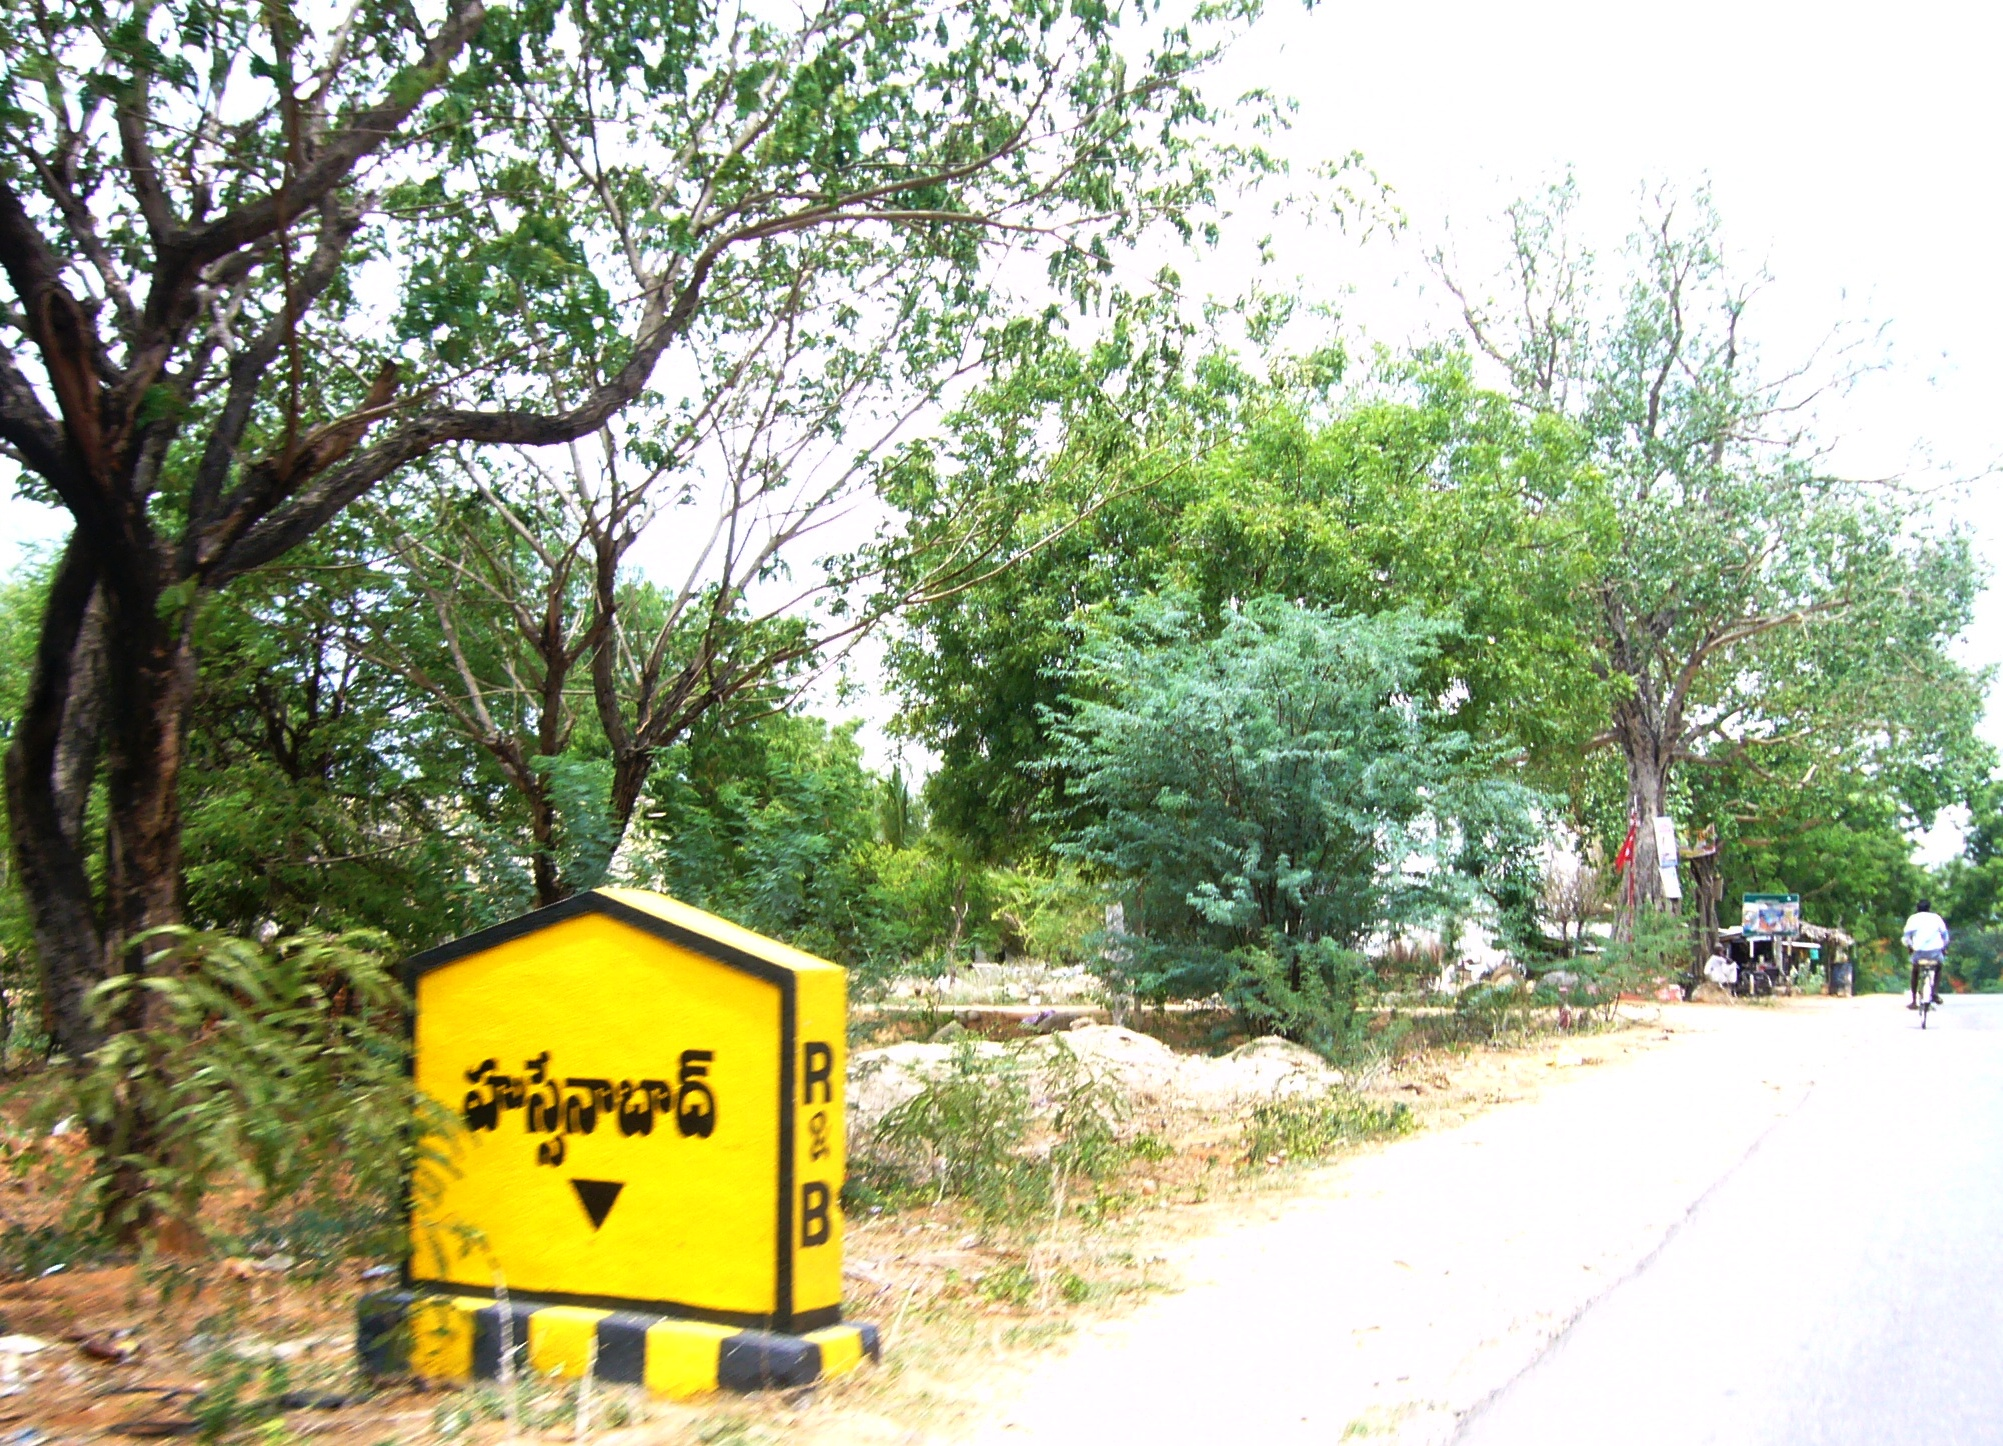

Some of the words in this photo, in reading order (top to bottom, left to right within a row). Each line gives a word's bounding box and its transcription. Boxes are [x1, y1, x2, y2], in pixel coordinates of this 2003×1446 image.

[460, 1043, 721, 1172] హస్సేనాబాద్
[797, 1035, 839, 1251] R&B